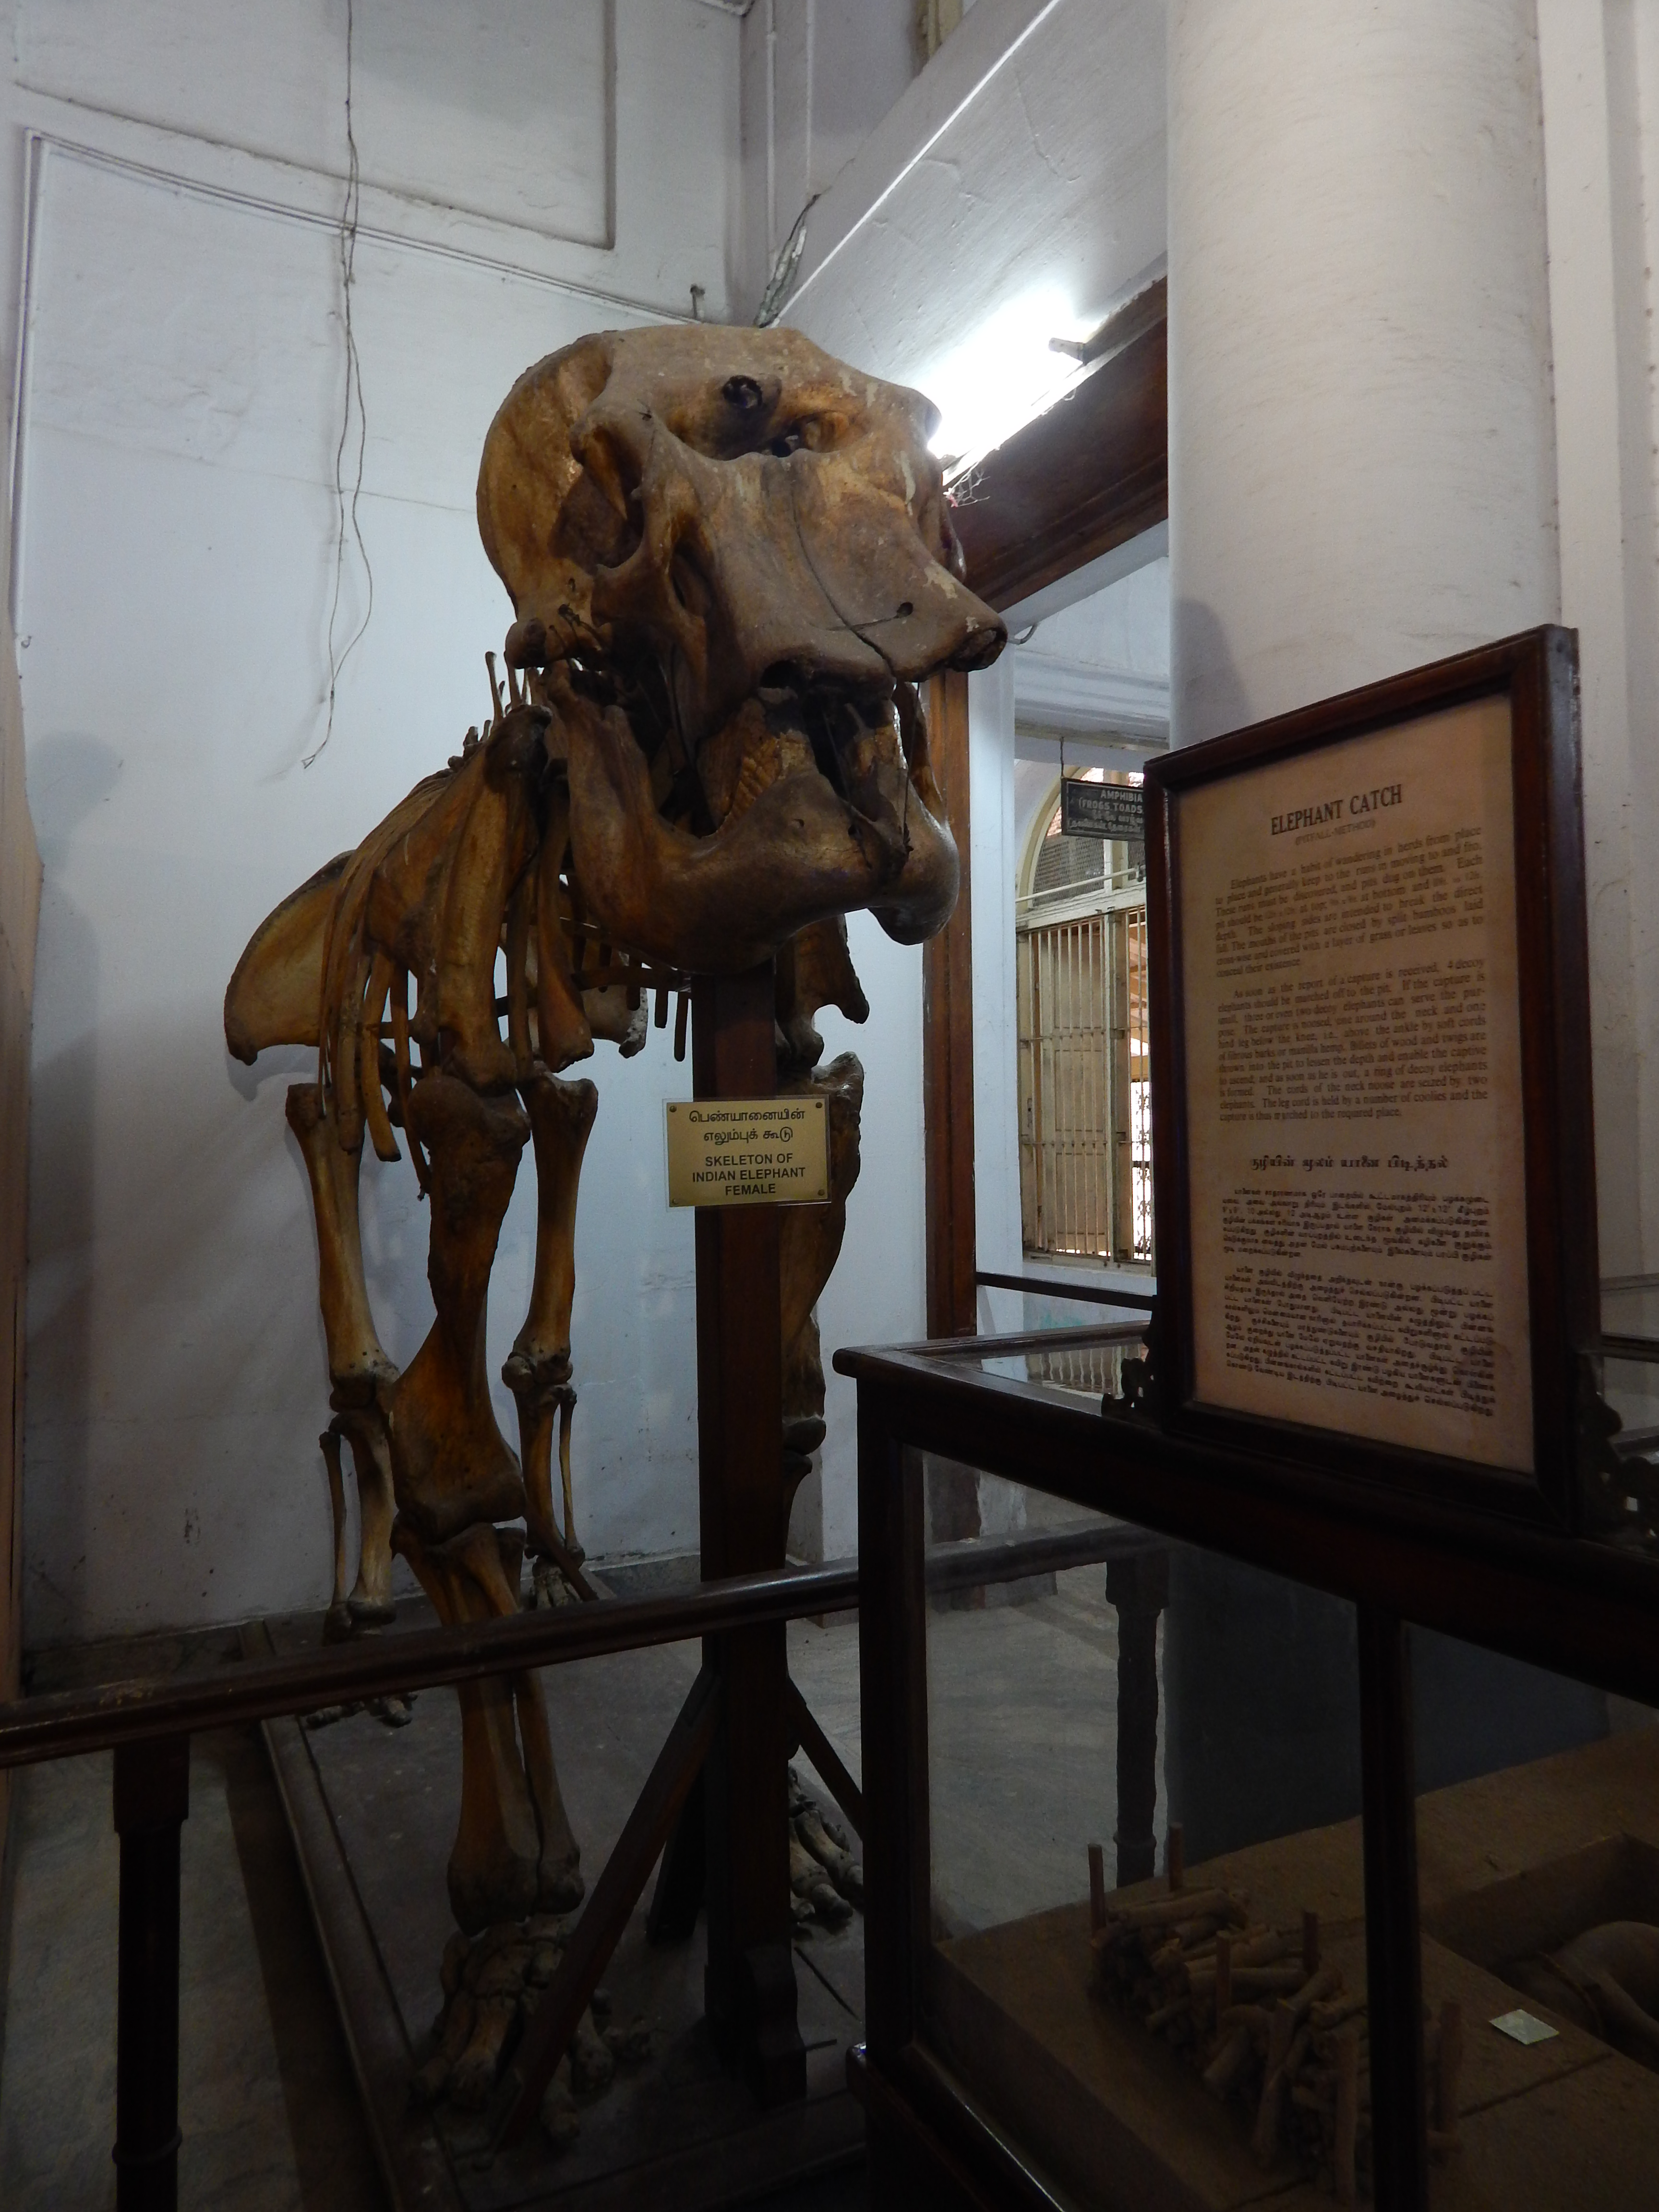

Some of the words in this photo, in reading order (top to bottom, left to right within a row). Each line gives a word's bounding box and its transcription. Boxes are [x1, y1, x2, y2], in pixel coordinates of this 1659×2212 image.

[1346, 782, 1403, 818] CATCH
[1270, 796, 1344, 837] ELEPHANT
[686, 1106, 805, 1126] பெண்யானையின்
[701, 1126, 760, 1146] எலும்புக்
[759, 1126, 795, 1142] ௯டு
[704, 1152, 774, 1169] SKELETON
[775, 1151, 793, 1166] OF
[1249, 1151, 1296, 1173] குழியின்
[1387, 1153, 1450, 1173] பிடித்தல்
[691, 1169, 738, 1186] INDIAN
[739, 1165, 807, 1183] ELEPHANT
[725, 1182, 778, 1198] FEMALE